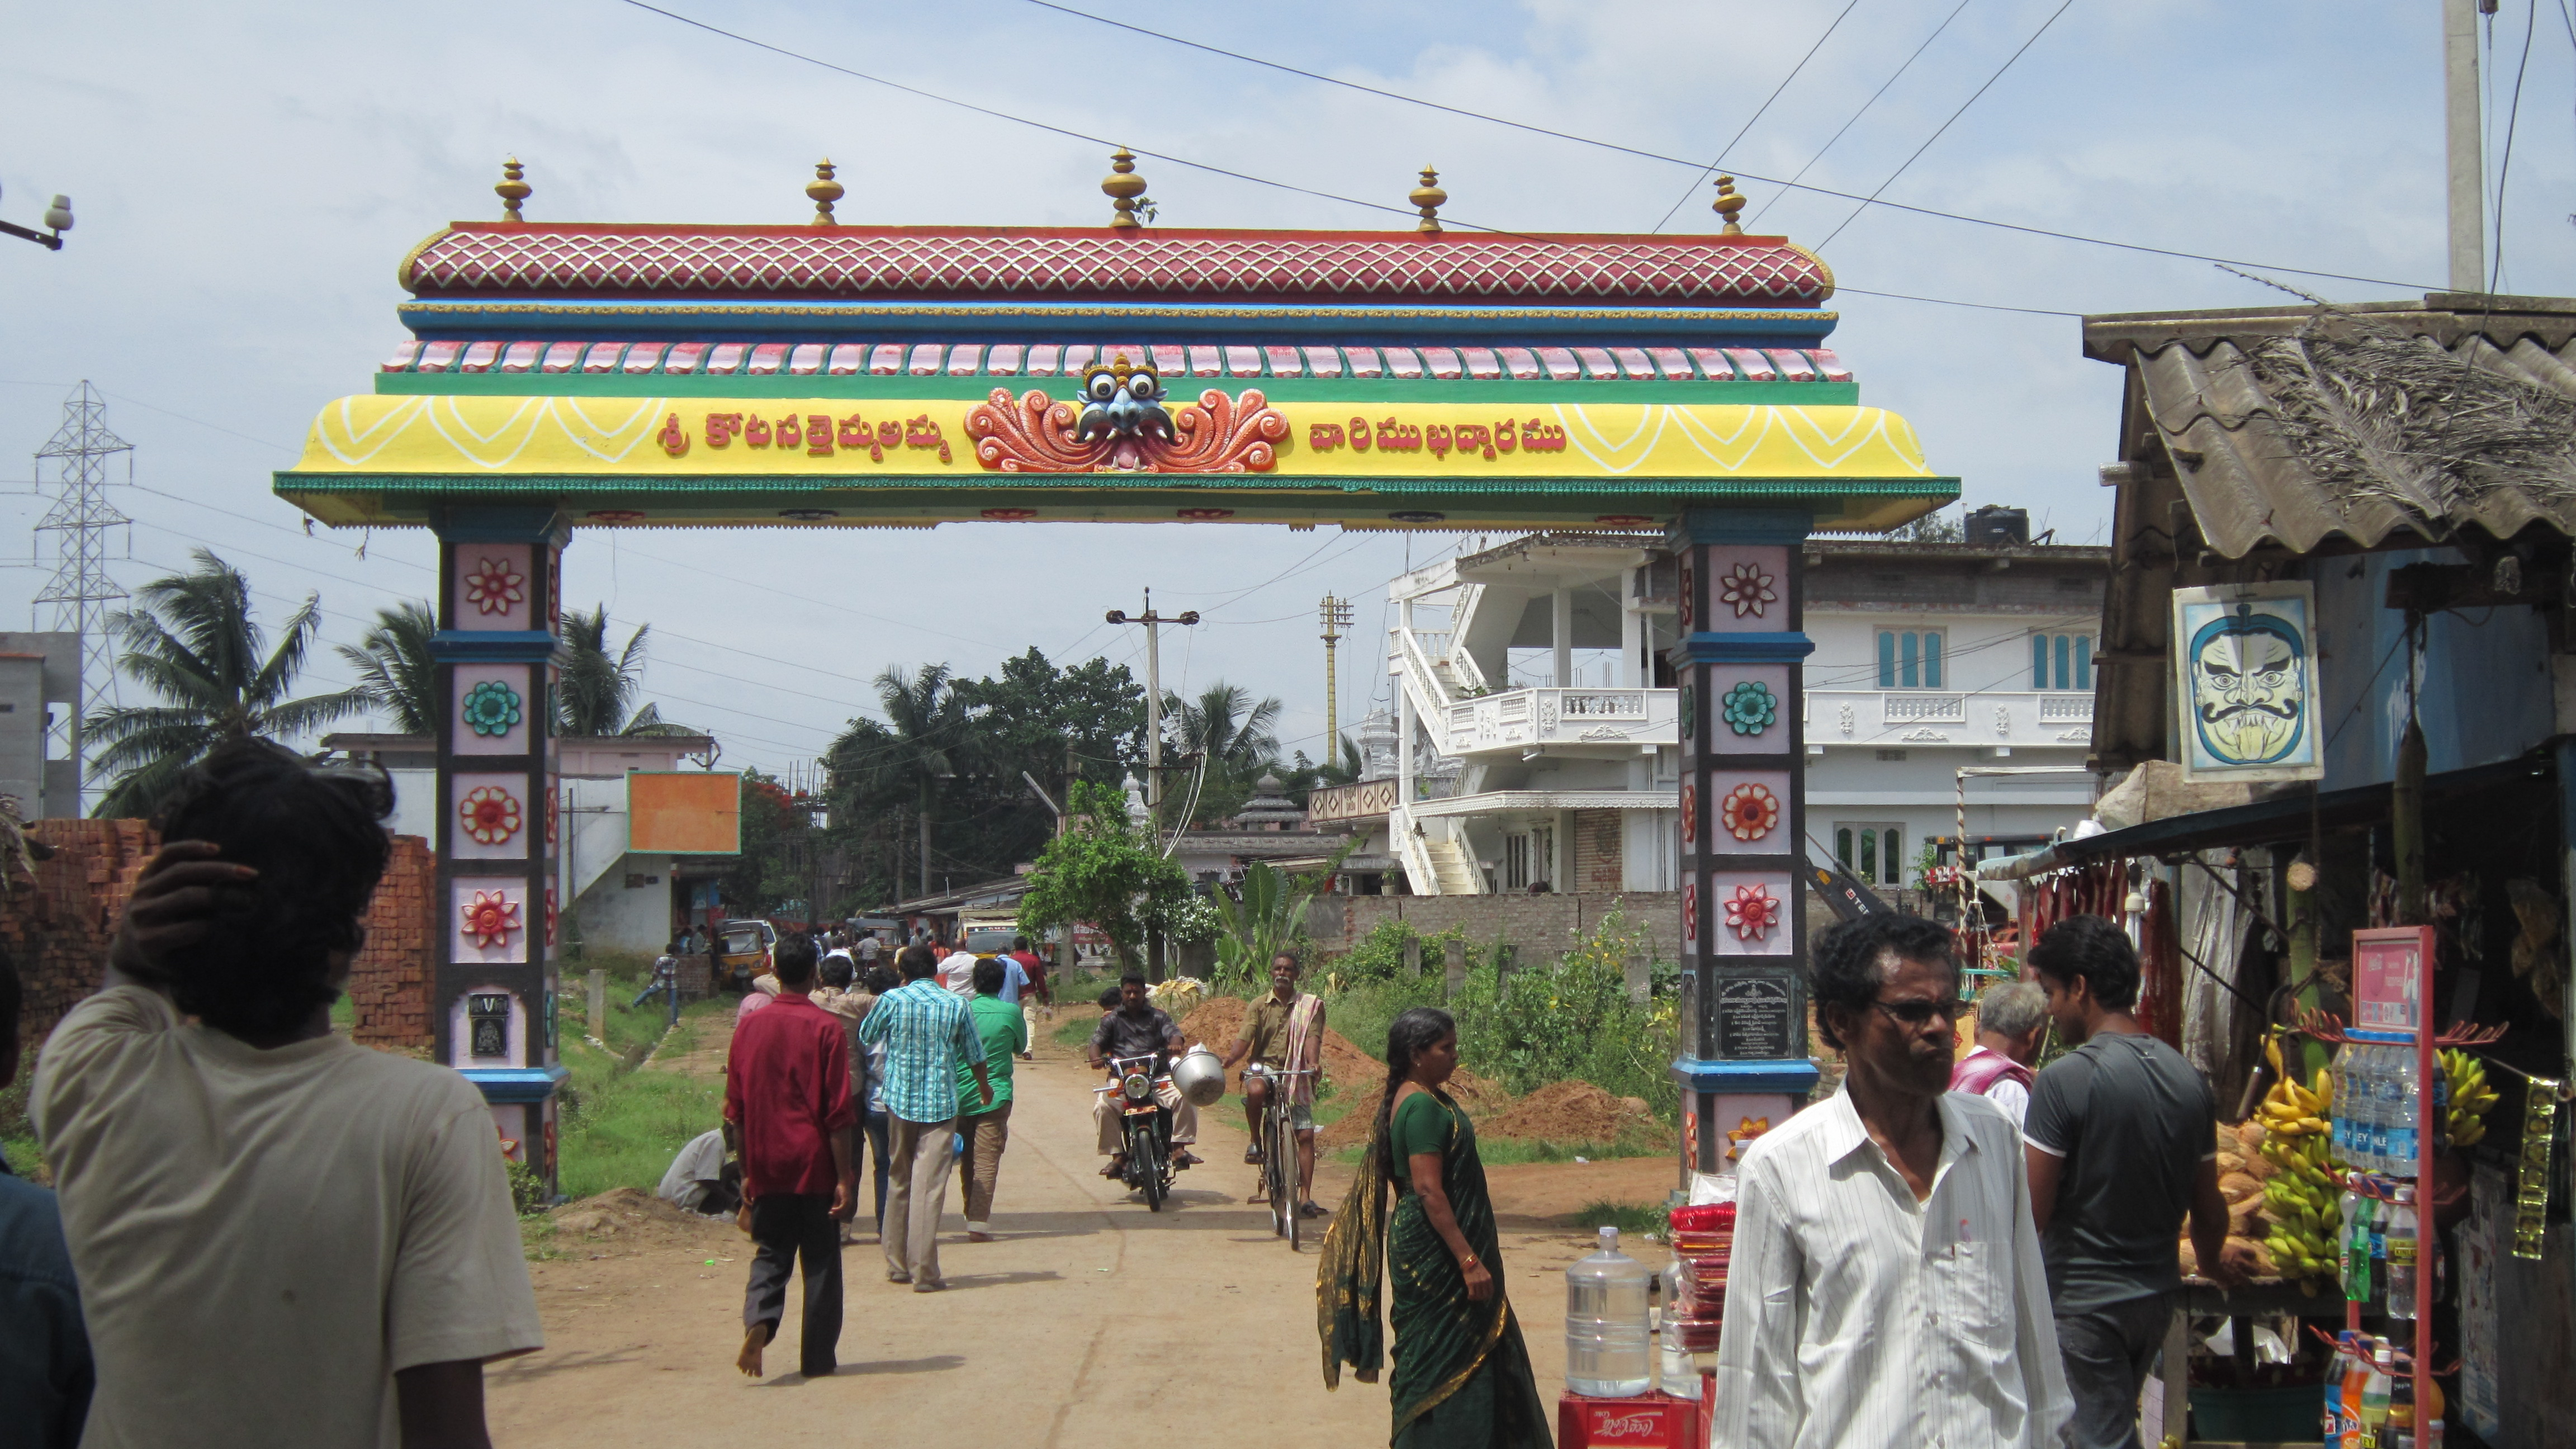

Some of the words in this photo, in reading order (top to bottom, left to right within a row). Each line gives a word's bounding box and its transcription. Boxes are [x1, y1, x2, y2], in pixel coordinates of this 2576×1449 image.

[701, 405, 955, 467] కోటసత్తెమ్మఅమ్మ
[1304, 411, 1571, 466] వారి ముఖద్వారము